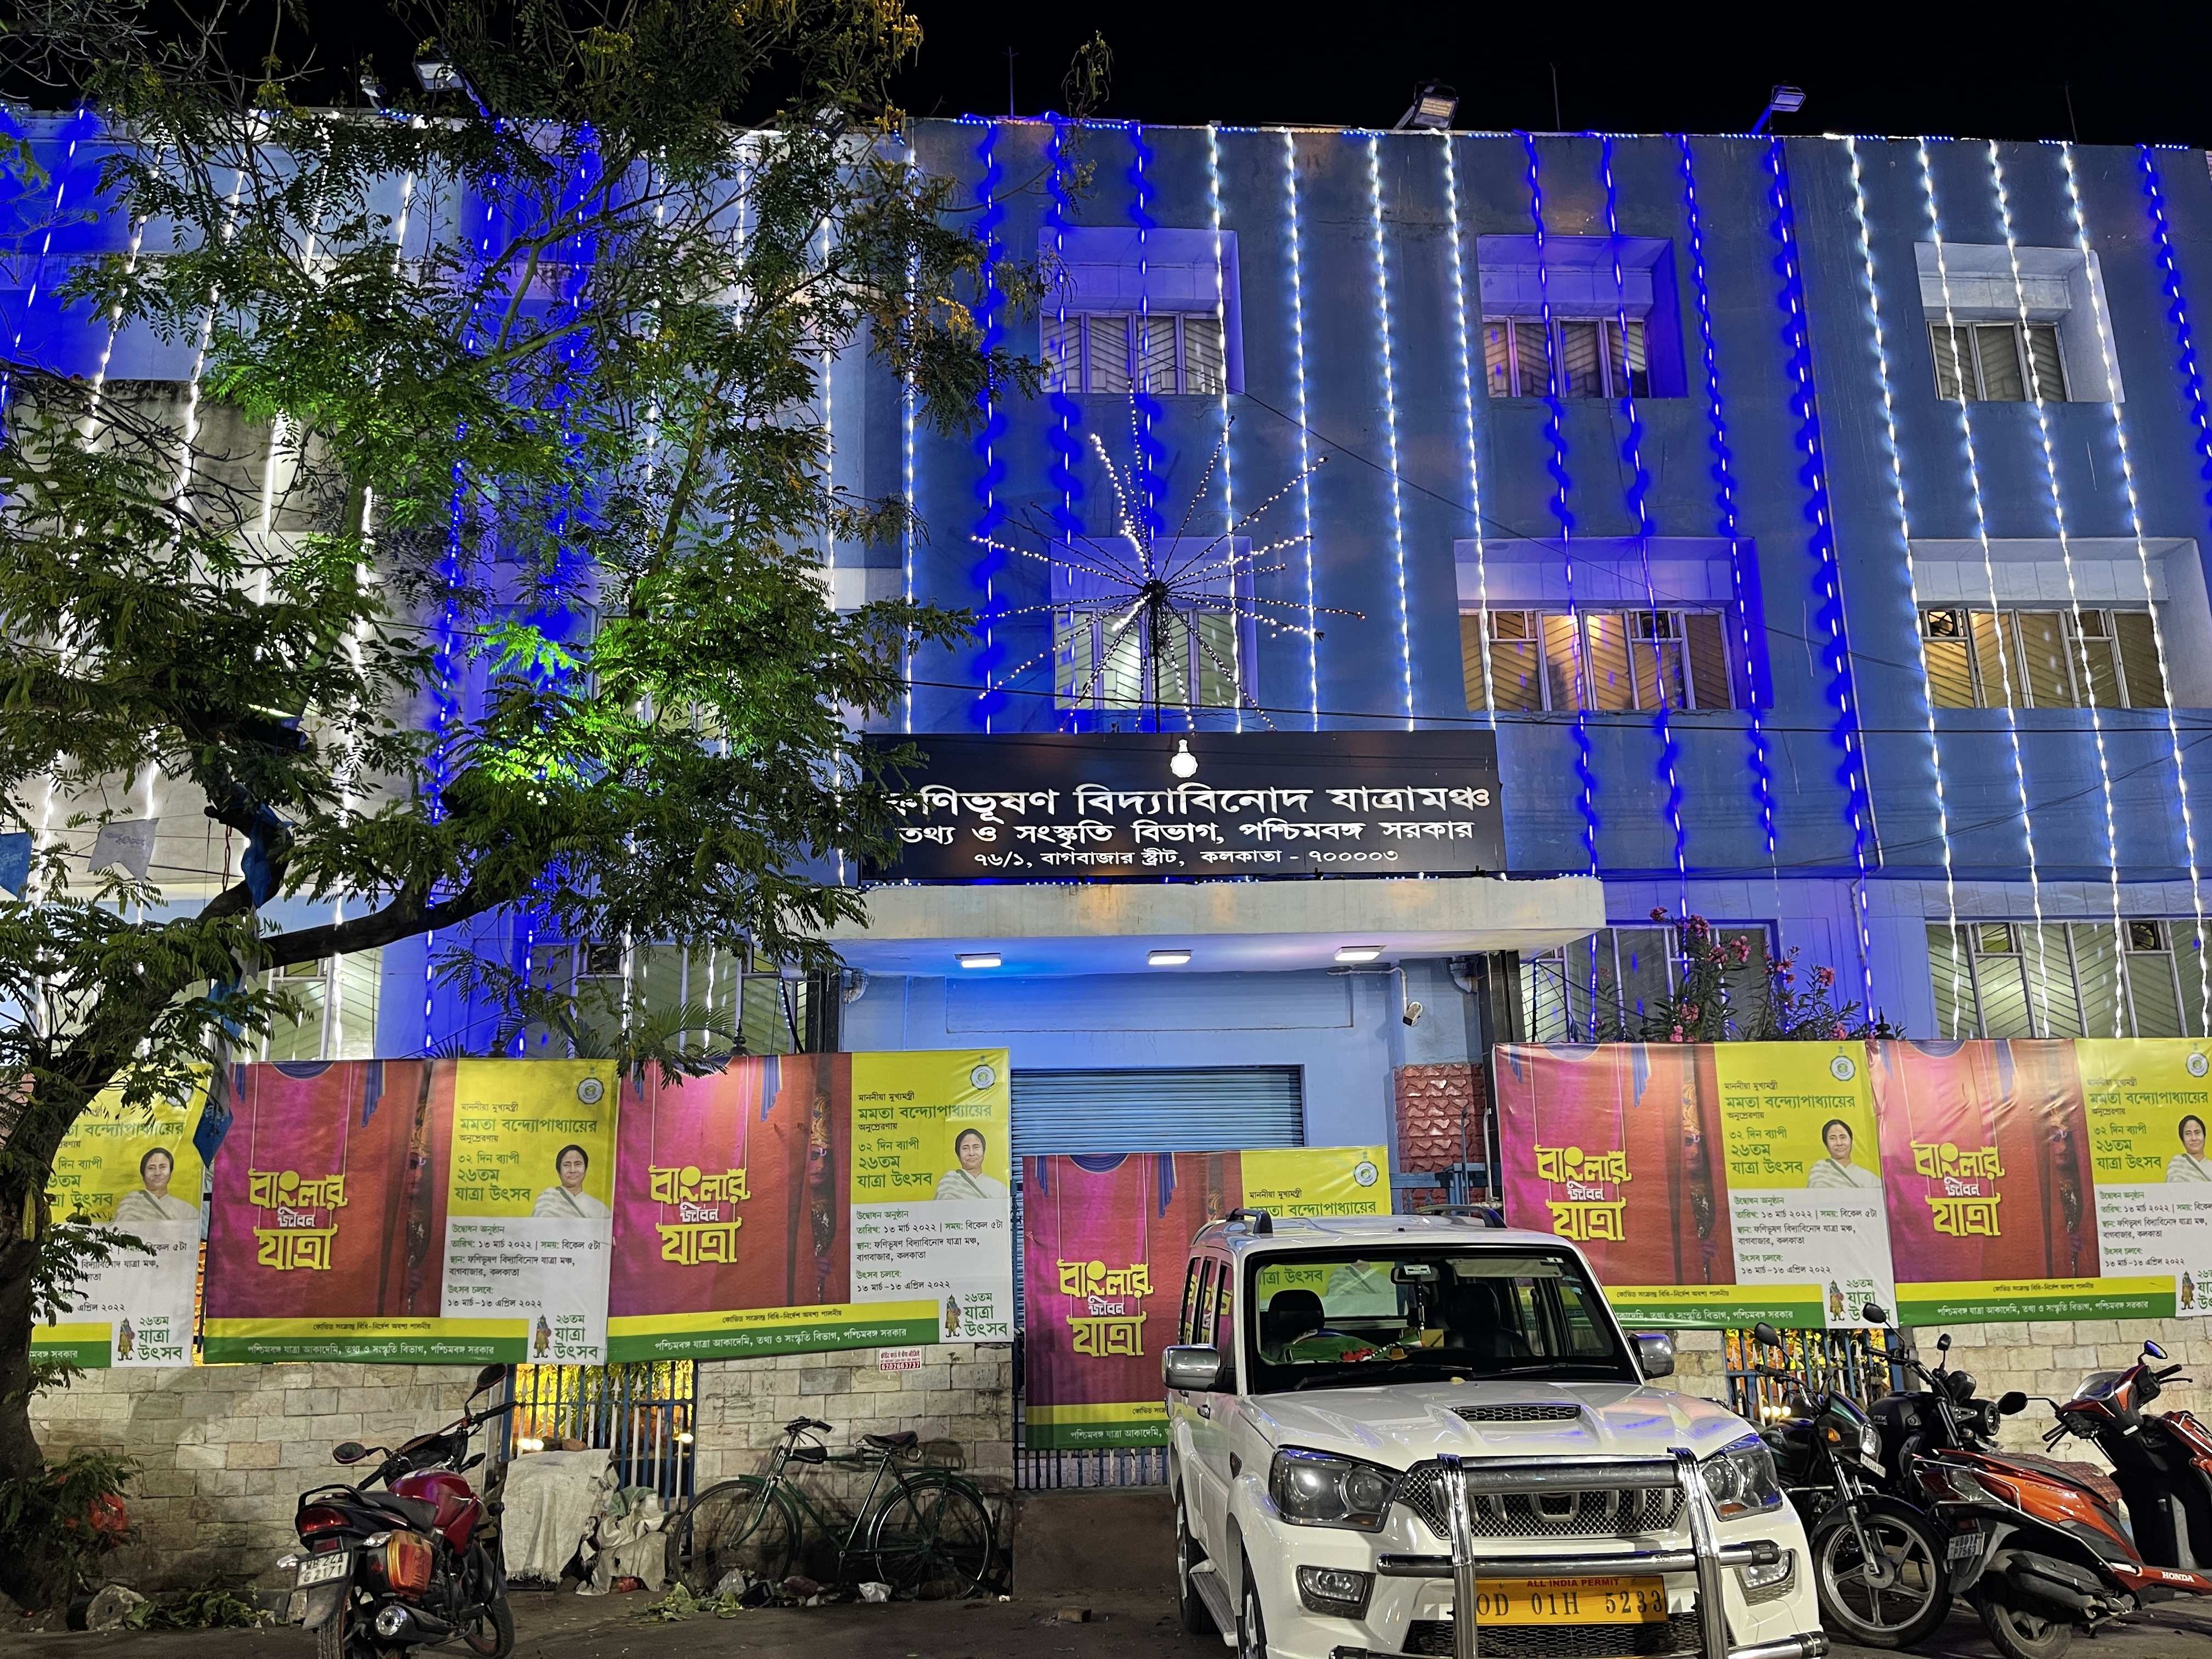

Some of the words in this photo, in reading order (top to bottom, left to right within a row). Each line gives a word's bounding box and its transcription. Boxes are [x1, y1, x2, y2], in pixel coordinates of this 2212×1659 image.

[889, 778, 1063, 830] ণিভূষণ
[1066, 773, 1316, 822] বিদ্যাবিনোদ
[1322, 781, 1493, 815] যাত্রামঞ্চ
[892, 818, 958, 850] তথ্য
[967, 816, 1000, 847] ও
[1013, 815, 1116, 852] সংস্কৃতি
[1121, 812, 1228, 848] বিভাগ,
[1236, 811, 1366, 844] পশ্চিমবঙ্গ
[1375, 817, 1479, 843] সরকার
[971, 850, 1035, 871] ৭৬/১,
[1039, 848, 1137, 870] বাগবাজার
[1137, 839, 1179, 868] স্ট্রীট
[1196, 848, 1283, 867] কলকাতা
[1308, 845, 1402, 867] ৭০০০০৩
[242, 1338, 288, 1359] পশ্চিমবঙ্গ
[276, 1341, 303, 1356] যাত্রা
[262, 1200, 318, 1231] জীবন
[236, 1162, 350, 1214] বাংলার
[251, 1218, 343, 1274] যাত্রা
[299, 1338, 345, 1359] আকাদেমি,
[309, 1317, 337, 1334] কোডিত
[329, 1316, 358, 1334] সংক্রান্ত
[339, 1338, 364, 1356] তথ্য
[349, 1315, 372, 1332] বিধি-
[355, 1339, 401, 1359] ওসংস্কৃতি
[366, 1318, 394, 1334] নির্দেশ
[387, 1319, 411, 1333] অবশ্য
[395, 1337, 429, 1359] বিভাগ,
[404, 1318, 433, 1334] পালনীয়
[426, 1338, 470, 1358] পশ্চিমবঙ্গ
[444, 1249, 470, 1271] স্থান:
[442, 1278, 473, 1297] উৎসব
[441, 1294, 478, 1310] ১৩ মার্চ
[445, 1232, 478, 1250] তারিখ:
[445, 1218, 481, 1238] উদ্বোধন
[452, 1149, 478, 1168] ৩২
[442, 1261, 488, 1281] বাগবাজার,
[449, 1181, 486, 1205] যাত্রা
[457, 1096, 492, 1115] মাননীয়া
[452, 1163, 503, 1188] ২৬তম
[456, 1111, 502, 1137] মমতা
[457, 1129, 504, 1148] অনুপ্রেরণায়
[468, 1279, 495, 1297] চলবে:
[466, 1337, 497, 1357] সরকার
[469, 1143, 496, 1169] দিন
[464, 1250, 501, 1267] ফণিভূষণ
[473, 1237, 495, 1251] ১৩
[479, 1296, 496, 1313] ১৩
[476, 1218, 509, 1241] অনুষ্ঠান
[488, 1236, 507, 1253] মার্চ
[486, 1262, 523, 1280] কলকাতা
[489, 1294, 520, 1309] এপ্রিল
[488, 1091, 522, 1117] মুখ্যমন্ত্রী
[489, 1143, 521, 1170] ব্যাপী
[482, 1180, 536, 1204] উৎসব
[495, 1248, 542, 1268] বিদ্যাবিনোদ
[503, 1236, 538, 1252] ২০২২
[515, 1295, 546, 1314] ২০২২
[493, 1110, 600, 1137] বন্দ্যোপাধ্যায়ের
[537, 1252, 559, 1266] যাত্রা
[535, 1238, 562, 1252] সময়ঃ
[554, 1252, 578, 1269] মঞ্চ,
[549, 1325, 589, 1347] যাত্রা
[552, 1308, 589, 1327] ২৬তম
[557, 1233, 589, 1255] বিকেল
[550, 1332, 602, 1366] উৎসব
[582, 1233, 606, 1252] ৫টা
[649, 1333, 695, 1357] পশ্চিমবঙ্গ
[642, 1155, 755, 1209] বাংলার
[675, 1195, 722, 1225] জীবন
[653, 1210, 745, 1267] যাত্রা
[690, 1334, 714, 1352] যাত্রা
[706, 1330, 755, 1351] আকাদেমি,
[718, 1310, 745, 1327] কোভিড
[739, 1309, 769, 1324] সংক্রান্ত
[753, 1331, 777, 1347] তথ্য
[761, 1305, 783, 1325] বিধি-
[770, 1333, 787, 1346] ও
[778, 1309, 804, 1321] - নির্দেশ
[782, 1326, 815, 1351] সংস্কৃতি
[799, 1305, 824, 1322] অবশ্য
[805, 1323, 846, 1345] বিভাগ,
[816, 1302, 848, 1325] পালনীয়
[838, 1323, 881, 1344] পশ্চিমবঙ্গ
[852, 1238, 877, 1257] ছান:
[855, 1137, 877, 1155] ৩২
[853, 1266, 881, 1284] উৎসব
[847, 1168, 889, 1191] যাত্রা
[853, 1218, 883, 1239] তারিখ:
[855, 1205, 885, 1225] উদ্বোধন
[853, 1087, 889, 1104] মাননীয়া
[855, 1278, 887, 1299] ১৩মার্চ
[853, 1245, 896, 1265] বাগবাজার
[855, 1102, 897, 1126] মমতা
[854, 1118, 902, 1137] অনুপ্রেরণায়
[855, 1148, 904, 1172] ২৬তম
[867, 1128, 897, 1156] দিন
[870, 1234, 906, 1252] ফণিভূষণ
[876, 1265, 905, 1283] চলবে:
[875, 1321, 910, 1341] সরকার
[880, 1214, 912, 1235] ১৩মার্চ
[883, 1205, 915, 1223] অনুষ্ঠান
[887, 1084, 918, 1104] মুখ্যমন্ত্রী
[889, 1135, 923, 1155] ব্যাপী
[885, 1276, 927, 1295] -১৩ এপ্রিল
[883, 1165, 936, 1189] উৎসব
[891, 1246, 929, 1261] কলকাতা
[902, 1232, 946, 1249] বিদ্যাবিনোদ
[910, 1218, 940, 1236] ২০২২
[922, 1275, 953, 1293] ২০২২
[896, 1101, 995, 1122] বন্দ্যোপাধ্যায়ের
[942, 1233, 964, 1250] যাত্রা
[940, 1215, 967, 1233] সময়ঃ
[962, 1233, 980, 1250] মঞ্চ,
[962, 1215, 992, 1231] বিকেল
[961, 1285, 996, 1305] ২৬তম
[961, 1298, 996, 1322] যাত্রা
[959, 1313, 1011, 1341] উৎসব
[985, 1215, 1007, 1232] ৫টা
[1048, 1254, 1157, 1303] বাংলার
[1081, 1288, 1130, 1319] জীবন
[1064, 1307, 1152, 1362] যাত্রা
[1247, 1187, 1278, 1201] মাননীয়া
[1276, 1184, 1309, 1202] মুখ্যমন্ত্রী
[1286, 1199, 1379, 1220] বন্দ্যোপাধ্যায়ের
[1529, 1137, 1635, 1187] বাংলার
[1559, 1173, 1610, 1204] জীবন
[1543, 1193, 1628, 1245] যাত্রা
[1612, 1285, 1638, 1301] কোভিড৷
[1612, 1305, 1649, 1322] আকাদেমি
[1637, 1286, 1660, 1301] সংক্রান্ত
[1643, 1310, 1668, 1321] তথ্য
[1655, 1286, 1673, 1297] বিধি-
[1665, 1311, 1678, 1322] ও
[1668, 1285, 1694, 1299] -নির্দেশ
[1675, 1304, 1703, 1325] সংস্কৃতি
[1689, 1287, 1711, 1300] অবশ্য
[1696, 1305, 1729, 1322] বিভাগ,
[1706, 1284, 1733, 1301] পালনীয়
[1720, 1076, 1755, 1094] মাননীয়া
[1724, 1093, 1762, 1118] মমতা
[1729, 1192, 1760, 1206] উদ্বোধন
[1735, 1221, 1754, 1237] স্থান:
[1723, 1108, 1767, 1121] অনুপ্রেৱণায়
[1725, 1125, 1766, 1146] ৩২দিন
[1729, 1159, 1762, 1178] যাত্রা
[1732, 1204, 1763, 1222] তারিখ:
[1728, 1306, 1768, 1321] পশ্চিমবঙ্গ
[1735, 1248, 1764, 1265] উৎসব
[1729, 1138, 1774, 1160] ২৬তম
[1740, 1263, 1769, 1277] ১৩মার্চ
[1736, 1234, 1774, 1248] বাগবাজার,
[1748, 1076, 1783, 1093] মুখ্যমন্ত্রী
[1752, 1220, 1785, 1237] ফণিভূষণ
[1756, 1207, 1790, 1220] ১৩মার্চ
[1759, 1247, 1787, 1265] চলবে:
[1758, 1193, 1789, 1210] অনুষ্ঠান
[1760, 1124, 1791, 1140] ব্যাপী
[1772, 1265, 1787, 1277] ১৩
[1757, 1154, 1805, 1178] উৎসব
[1764, 1306, 1798, 1324] সরকার
[1774, 1234, 1807, 1249] কলকাতা
[1783, 1260, 1810, 1276] এপ্রিল
[1787, 1208, 1816, 1222] ২০২২
[1780, 1221, 1823, 1235] বিদ্যাবিনোদ
[1763, 1091, 1857, 1111] বন্দ্যোপাধ্যায়ের
[1805, 1264, 1835, 1277] ২০২২
[1817, 1207, 1839, 1220] সময়ঃ
[1818, 1217, 1841, 1236] যাত্রা
[1838, 1224, 1858, 1237] মঞ্চ,
[1833, 1203, 1864, 1223] বিকেল
[1842, 1277, 1875, 1292] ২৬তম
[1843, 1288, 1880, 1308] যাত্রা
[1859, 1206, 1882, 1222] ৫টা
[1933, 1300, 1969, 1318] পশ্চিমবঙ্গ
[1904, 1137, 2012, 1186] বাংলার
[1936, 1170, 1984, 1198] জীবন
[1920, 1191, 2004, 1241] যাত্রা
[1966, 1302, 1987, 1319] যাত্রা
[1990, 1279, 2014, 1295] কোভিড৷
[1983, 1300, 2022, 1319] আকাদেমি,
[2019, 1302, 2038, 1316] তথ্য
[2027, 1279, 2061, 1294] বিধি-নির্দেশ
[2035, 1300, 2071, 1316] ও সংস্কৃতি
[2065, 1297, 2094, 1313] বিভাগ,
[2084, 1073, 2115, 1088] মাননীয়া
[2088, 1122, 2111, 1138] ৩২
[2082, 1086, 2125, 1109] মমতা
[2084, 1106, 2129, 1120] অনুপ্রেরণায়
[2092, 1149, 2125, 1172] যাত্রা
[2095, 1188, 2123, 1203] উদ্বোধন
[2100, 1215, 2118, 1232] স্থান
[2091, 1296, 2127, 1313] পশ্চিমবঙ্গ
[2098, 1200, 2124, 1216] তারিখ:
[2100, 1244, 2125, 1258] উৎসব
[2093, 1137, 2136, 1154] ২৬তম
[2103, 1118, 2127, 1135] দিন
[2099, 1228, 2134, 1240] বাগবাজার
[2104, 1256, 2129, 1269] ১৩ মার্চ
[2112, 1214, 2143, 1230] ফণিভূষণ
[2122, 1244, 2143, 1256] চলবে:
[2121, 1187, 2146, 1204] অনুষ্ঠান
[2121, 1201, 2149, 1215] ১৩ মার্চ
[2124, 1120, 2150, 1138] ব্যাপী
[2123, 1297, 2151, 1311] সরকার
[2121, 1149, 2165, 1171] উৎসব
[2130, 1253, 2165, 1269] ১৩ এপ্রিল
[2134, 1228, 2163, 1240] কলকাতা
[2146, 1198, 2170, 1216] ২০২২
[2141, 1215, 2179, 1227] বিদ্যাবিনোদ
[2121, 1090, 2209, 1105] বন্দ্যোপাধ্যায়ের
[2160, 1252, 2186, 1269] ২০২২
[2173, 1214, 2194, 1227] যাত্রা
[2175, 1201, 2194, 1214] সময়:
[1126, 1403, 1154, 1417] কোভিড
[1067, 1423, 1107, 1443] পশ্চিমবঙ্গ
[1102, 1424, 1125, 1442] যাত্রা
[1120, 1421, 1165, 1440] আকাদেমি,